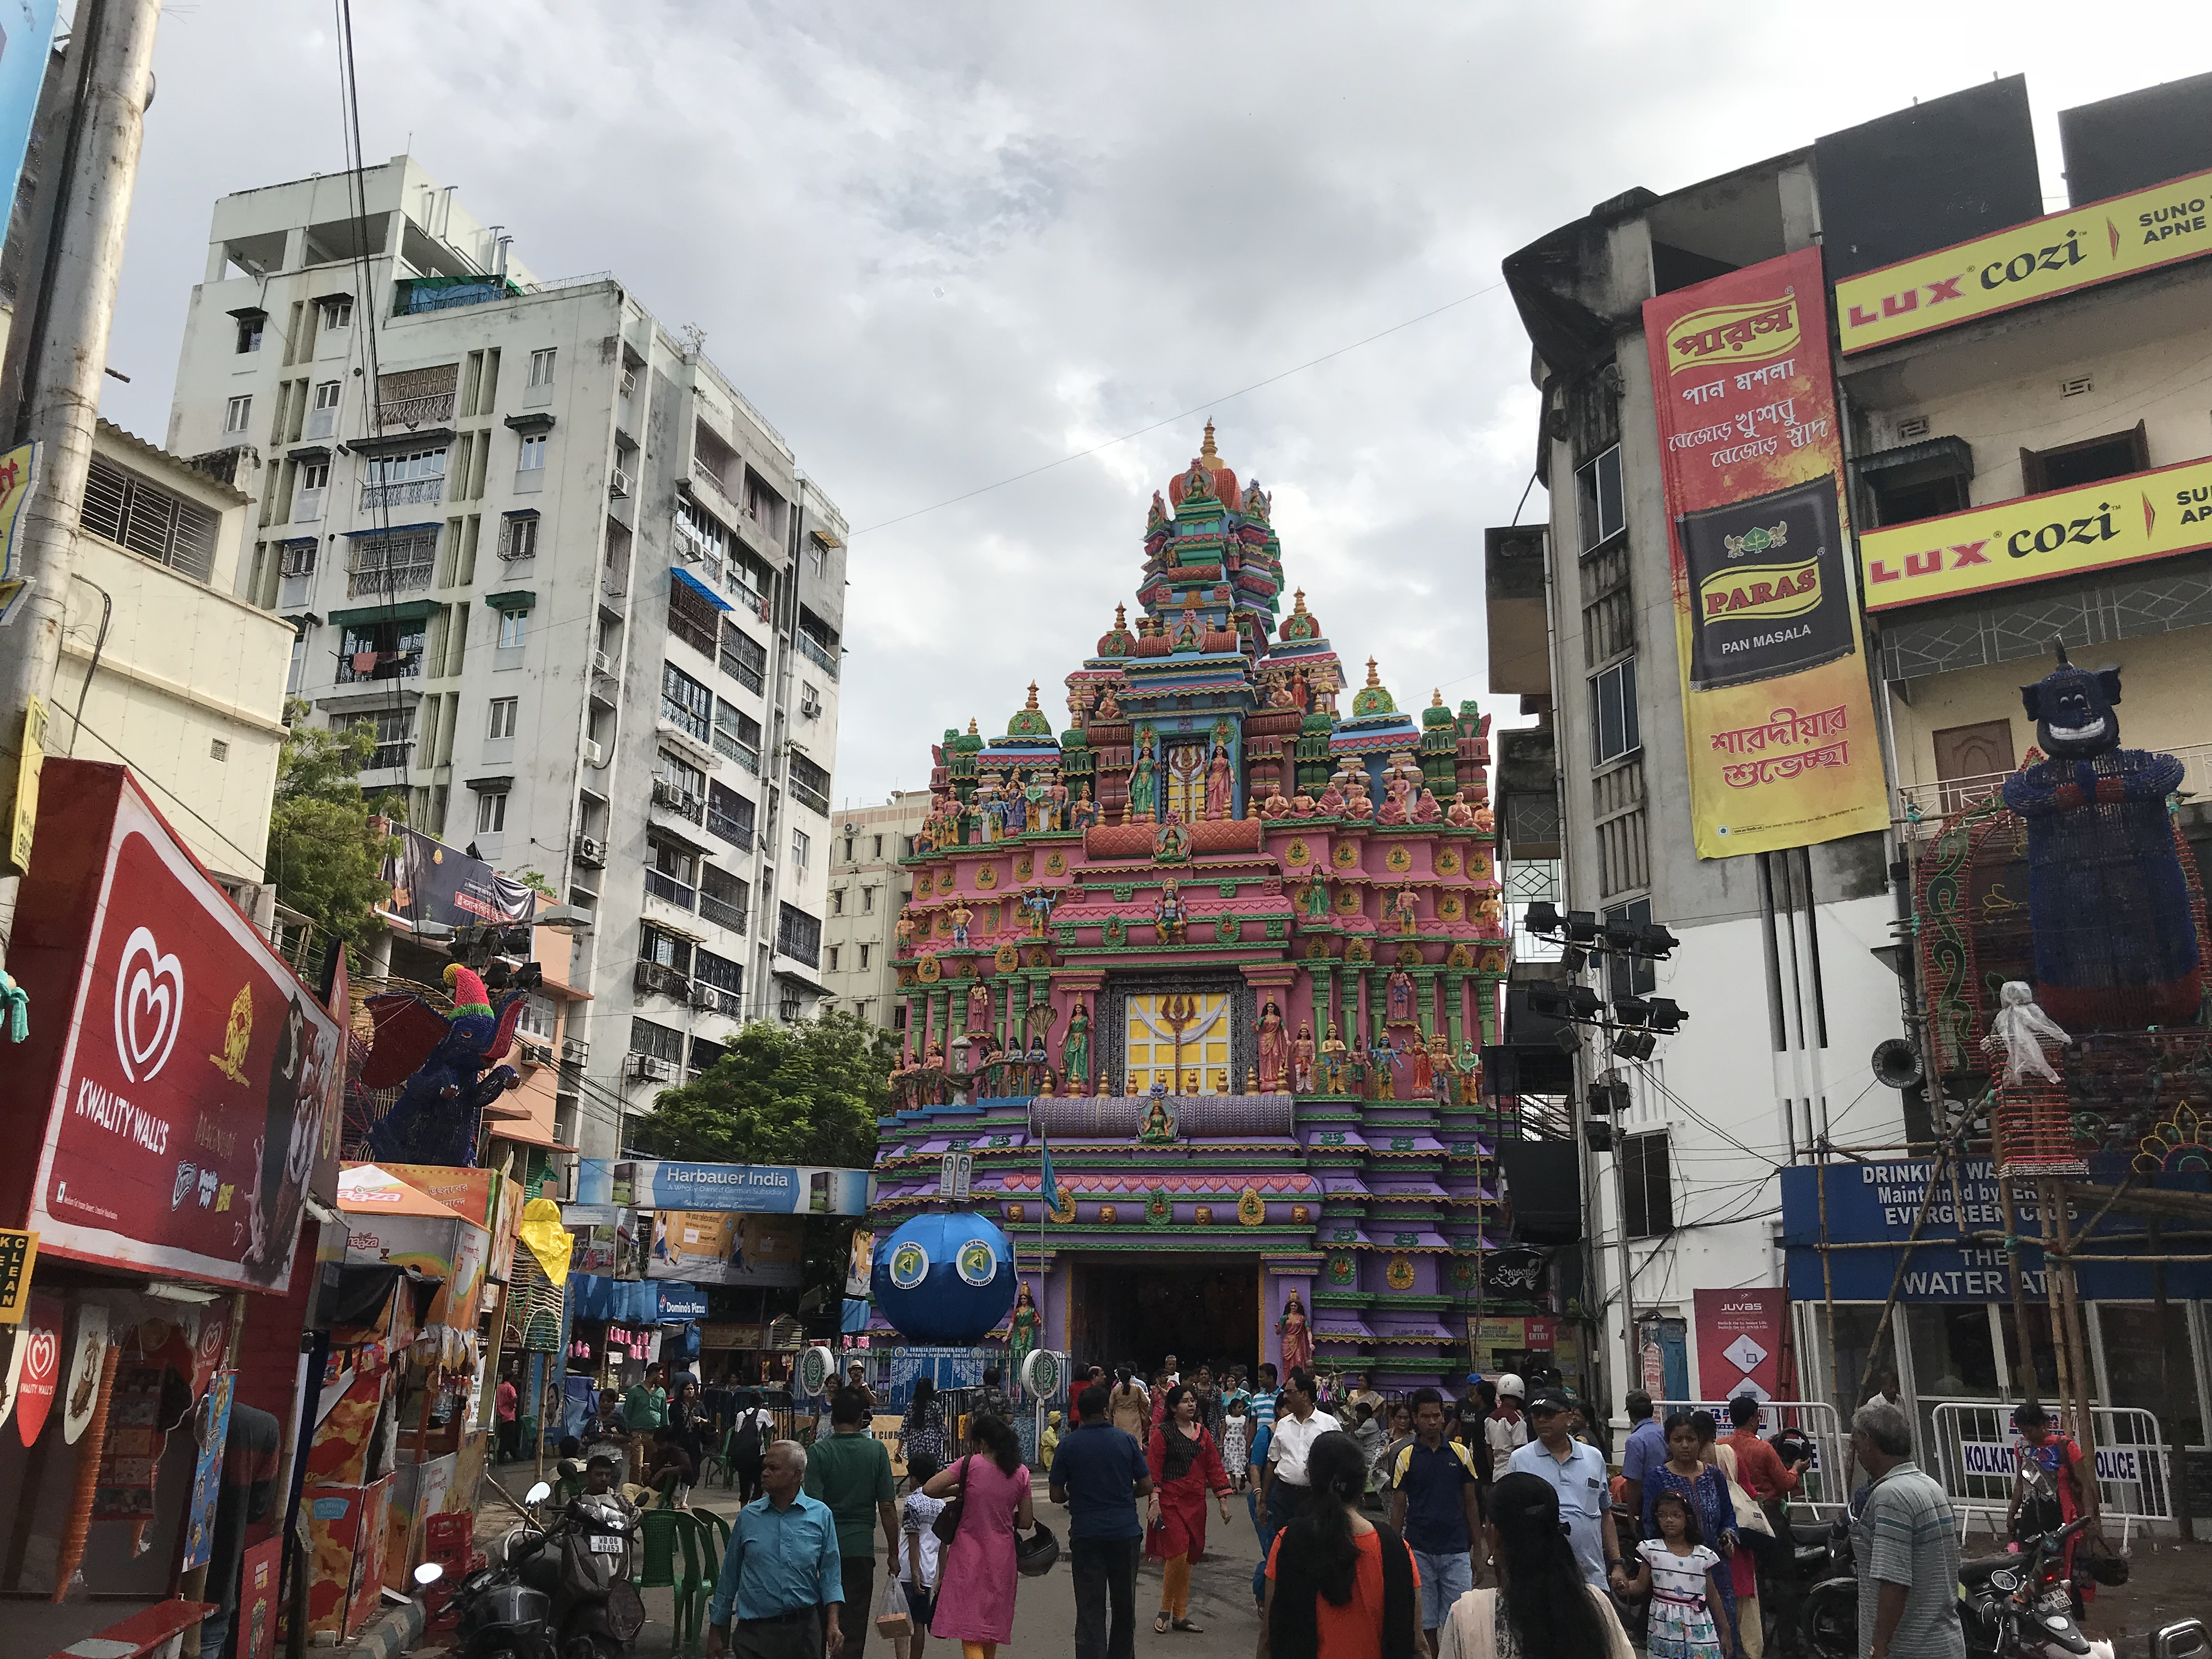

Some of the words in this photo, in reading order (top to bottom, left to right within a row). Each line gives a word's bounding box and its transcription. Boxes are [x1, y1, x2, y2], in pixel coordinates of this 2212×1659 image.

[2134, 194, 2210, 230] SUNO
[2143, 212, 2210, 249] APNE
[1976, 225, 2089, 295] cozi
[1843, 269, 1968, 330] LUX
[1670, 303, 1797, 366] পাব়স
[1679, 374, 1728, 411] পান
[1729, 355, 1797, 398] মশলা
[1662, 417, 1736, 455] বেজোড়
[1706, 433, 1781, 471] বেজোড়
[1731, 394, 1803, 442] খুশবু
[1780, 411, 1836, 452] স্বাদ
[2001, 499, 2127, 564] cozi
[1865, 533, 1996, 589] LUX
[1703, 562, 1818, 619] PARAS
[1719, 636, 1751, 661] PAN
[1750, 618, 1814, 651] MASALA
[1707, 699, 1850, 758] শারদীয়ার
[1719, 738, 1853, 793] শুভেচ্ছা
[71, 1074, 139, 1139] KWALITY
[128, 1104, 178, 1161] WALL
[665, 1165, 747, 1188] Harbauer
[747, 1169, 793, 1188] India
[1860, 1155, 1963, 1187] DRINKING
[1872, 1182, 1957, 1208] Maintain
[1893, 1261, 2011, 1301] WATER
[663, 1299, 695, 1317] Domino
[689, 1300, 709, 1315] Pizza
[1720, 1296, 1764, 1315] JUVAS